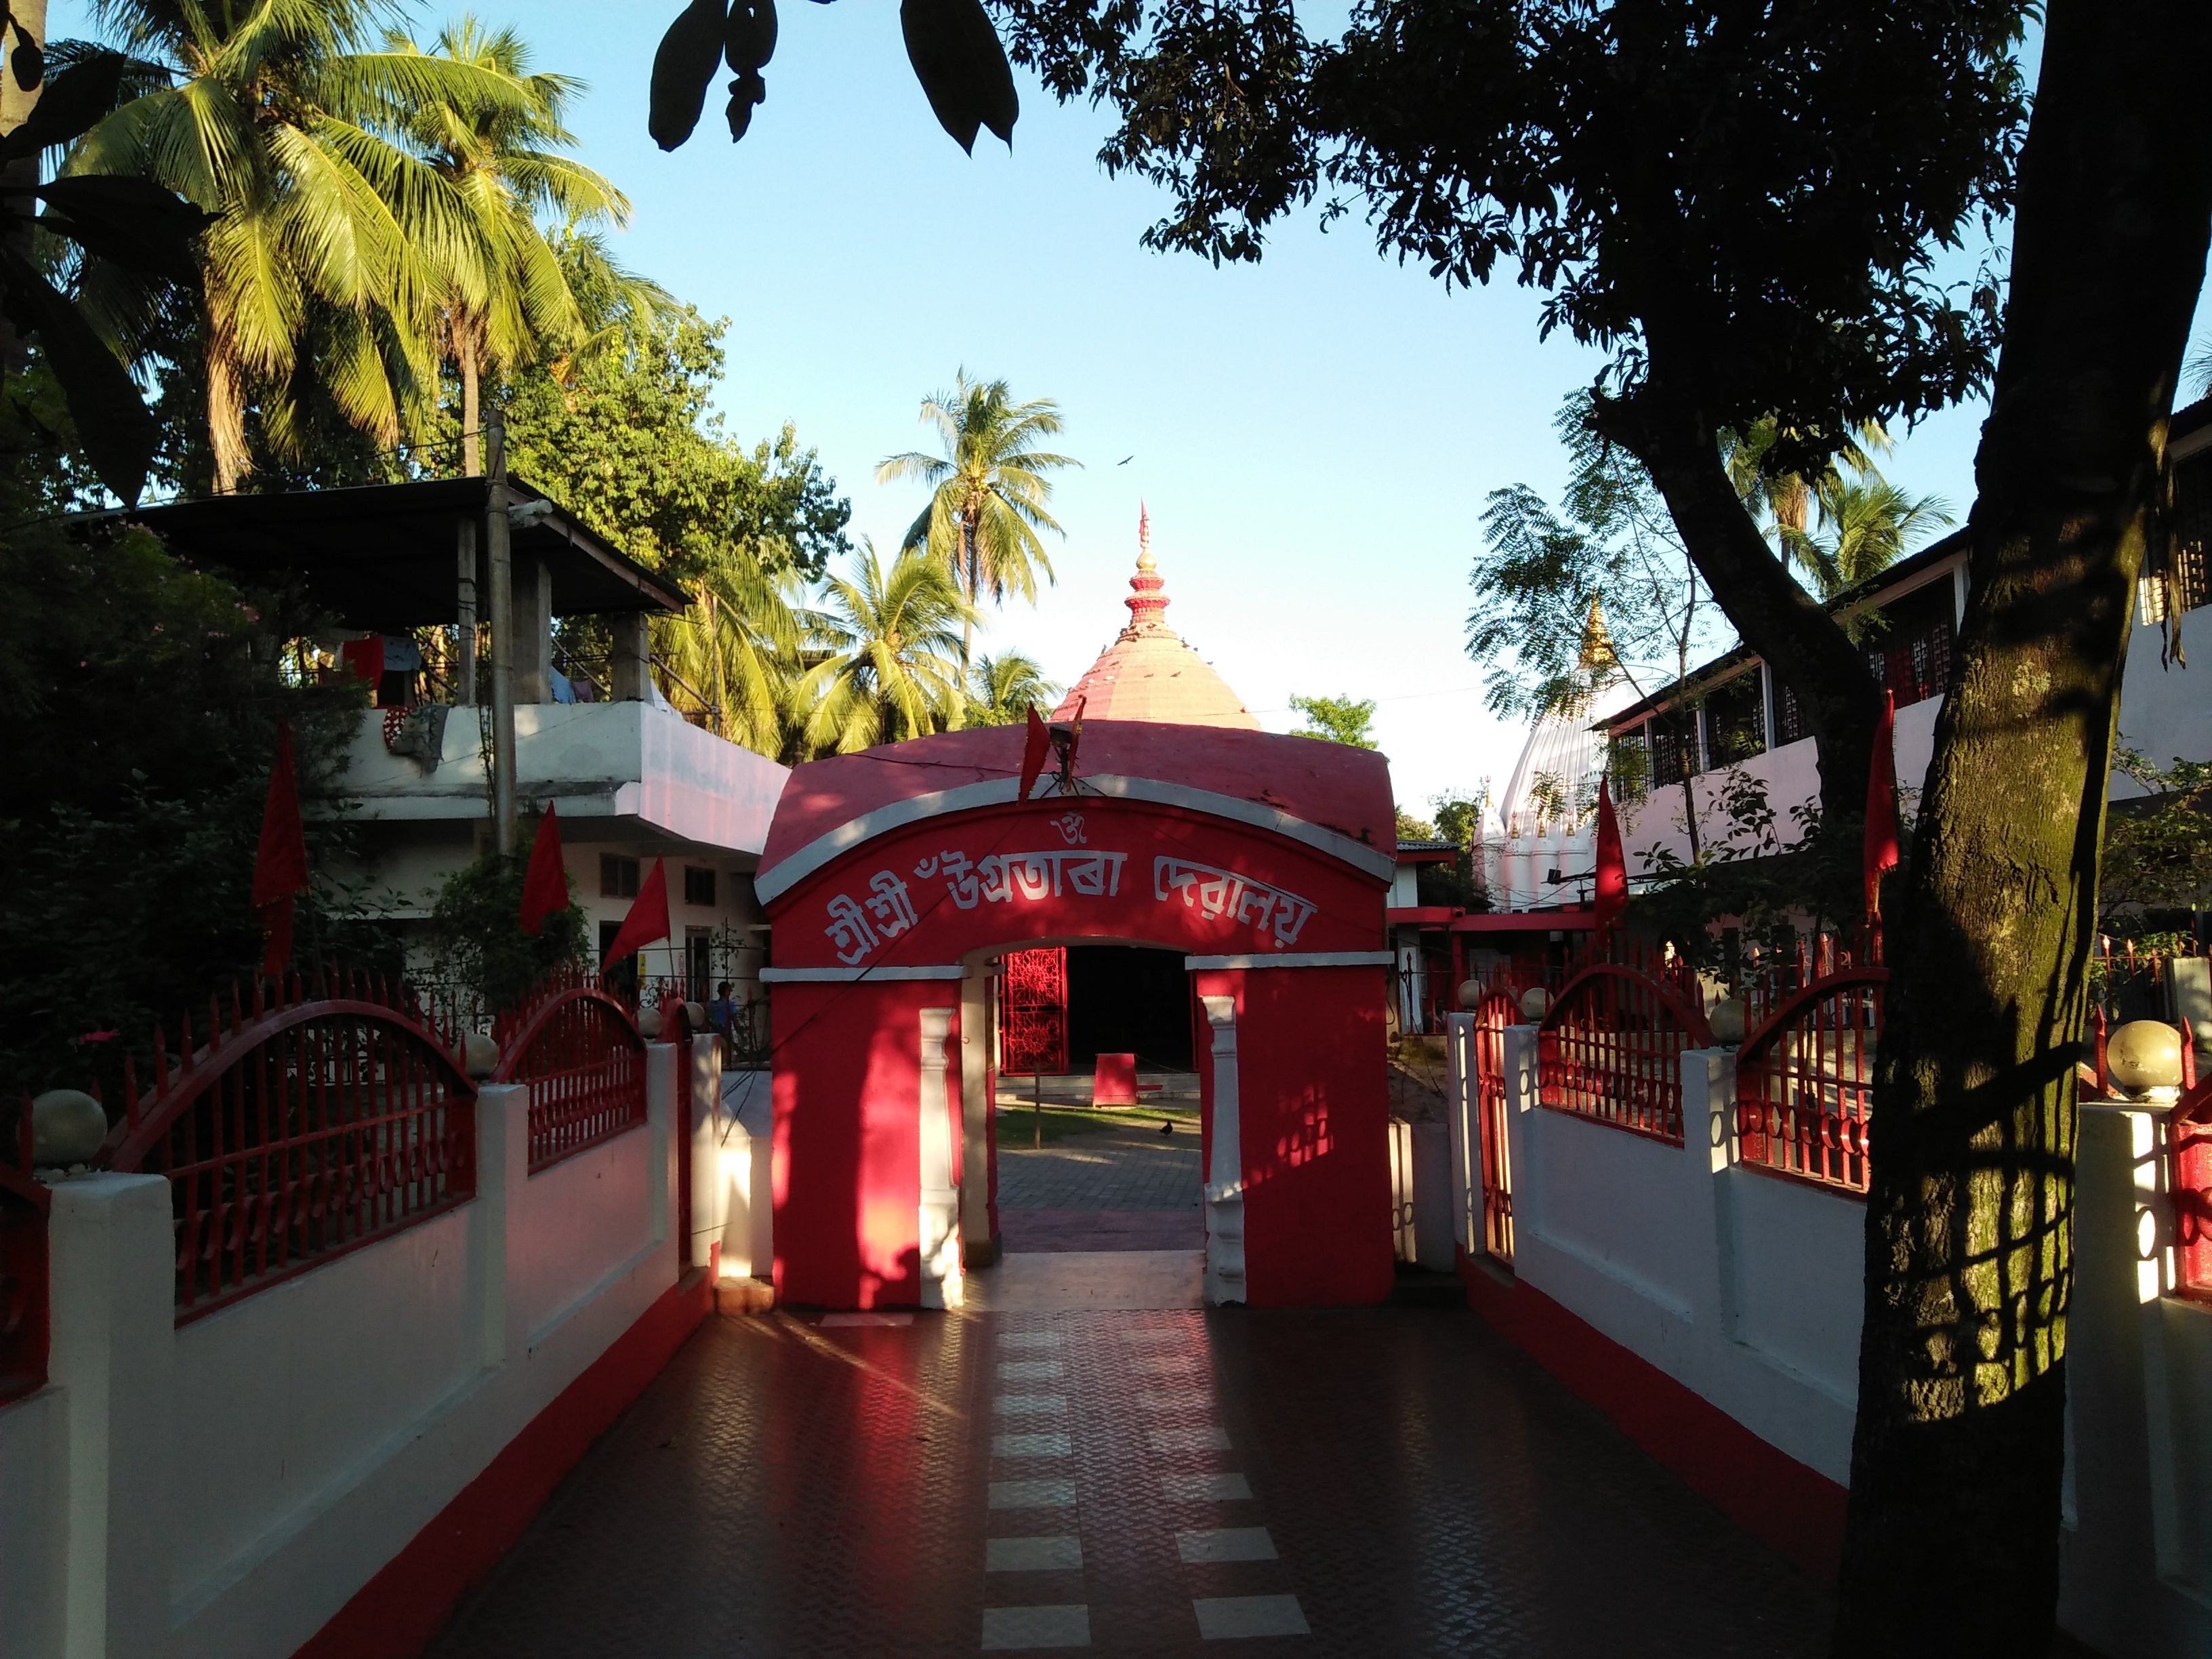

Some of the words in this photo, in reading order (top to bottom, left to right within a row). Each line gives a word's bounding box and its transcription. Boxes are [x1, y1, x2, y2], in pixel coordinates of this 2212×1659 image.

[807, 863, 919, 969] শ্রীশ্ৰী
[932, 840, 1131, 920] উগ্রতাৰা
[1133, 848, 1327, 954] দেৱালয়